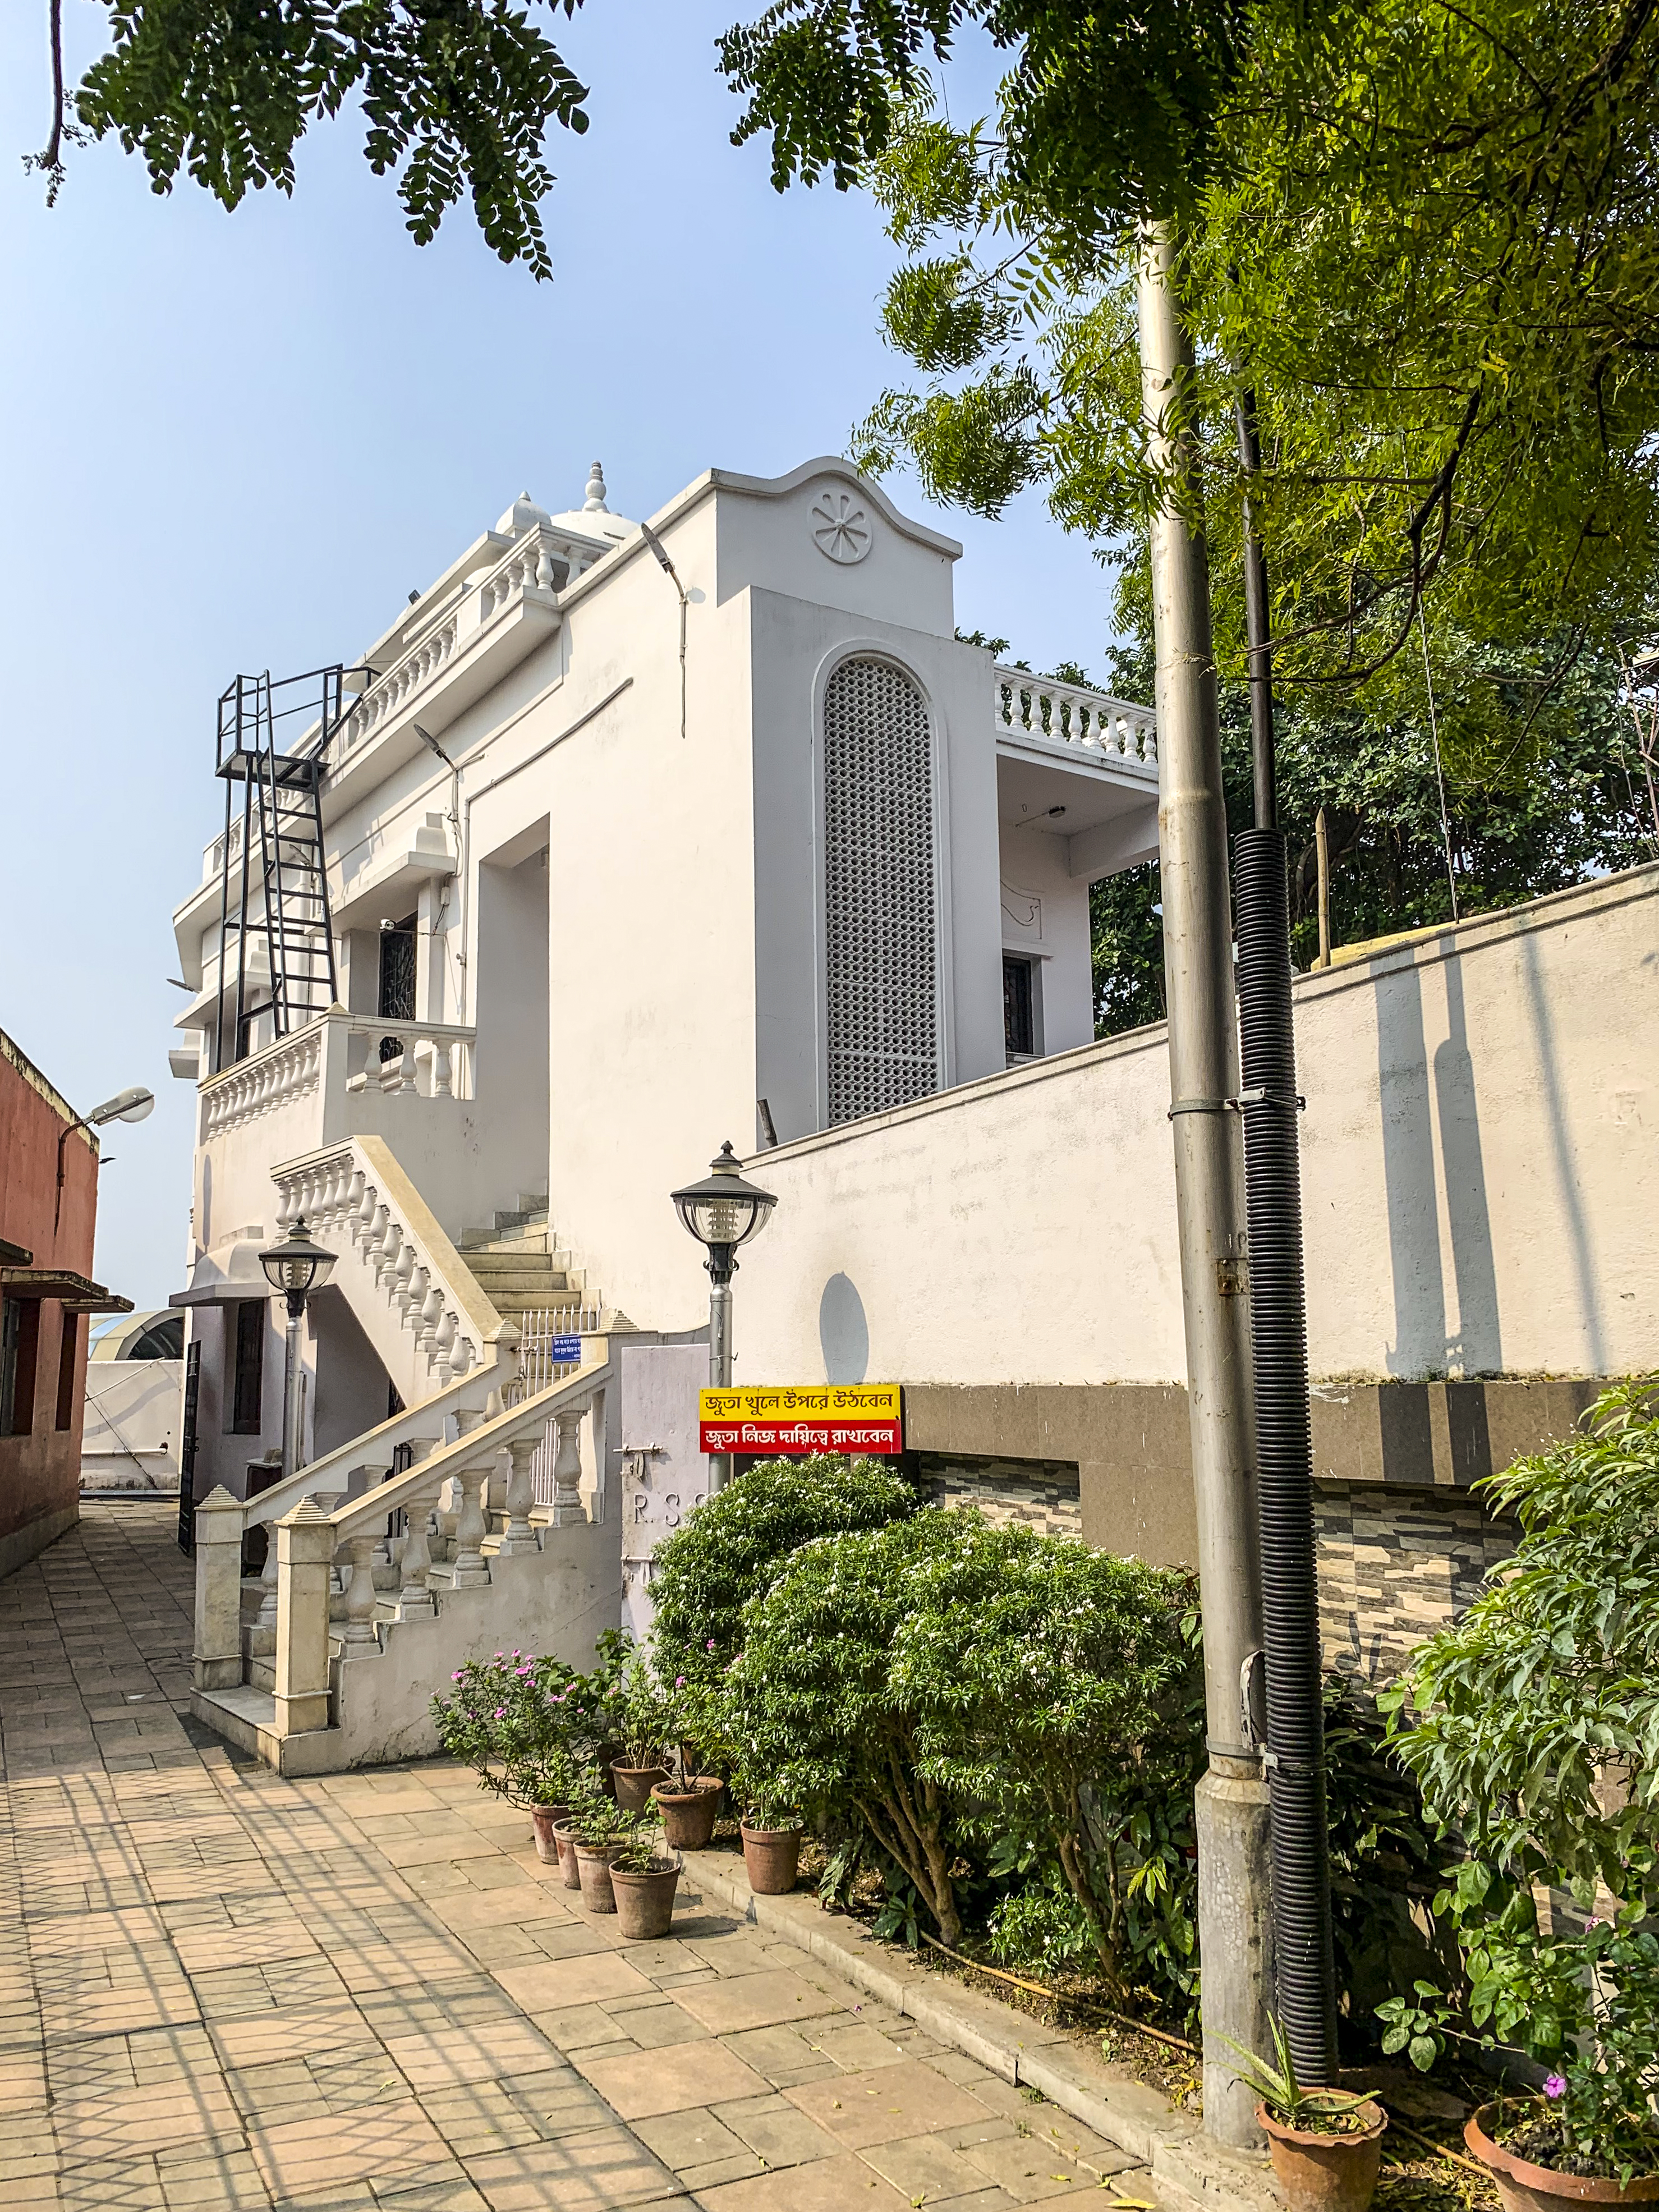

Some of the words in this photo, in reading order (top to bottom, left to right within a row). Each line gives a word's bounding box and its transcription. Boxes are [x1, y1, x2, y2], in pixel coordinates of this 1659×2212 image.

[701, 1389, 746, 1421] জুতা
[742, 1388, 783, 1420] খুলে
[780, 1384, 830, 1414] উপরে
[829, 1385, 899, 1412] উঠবেন
[702, 1427, 743, 1453] জুতা
[731, 1415, 780, 1446] নিজ
[774, 1418, 833, 1449] দায়িত্বে
[825, 1424, 896, 1448] রাখবেন